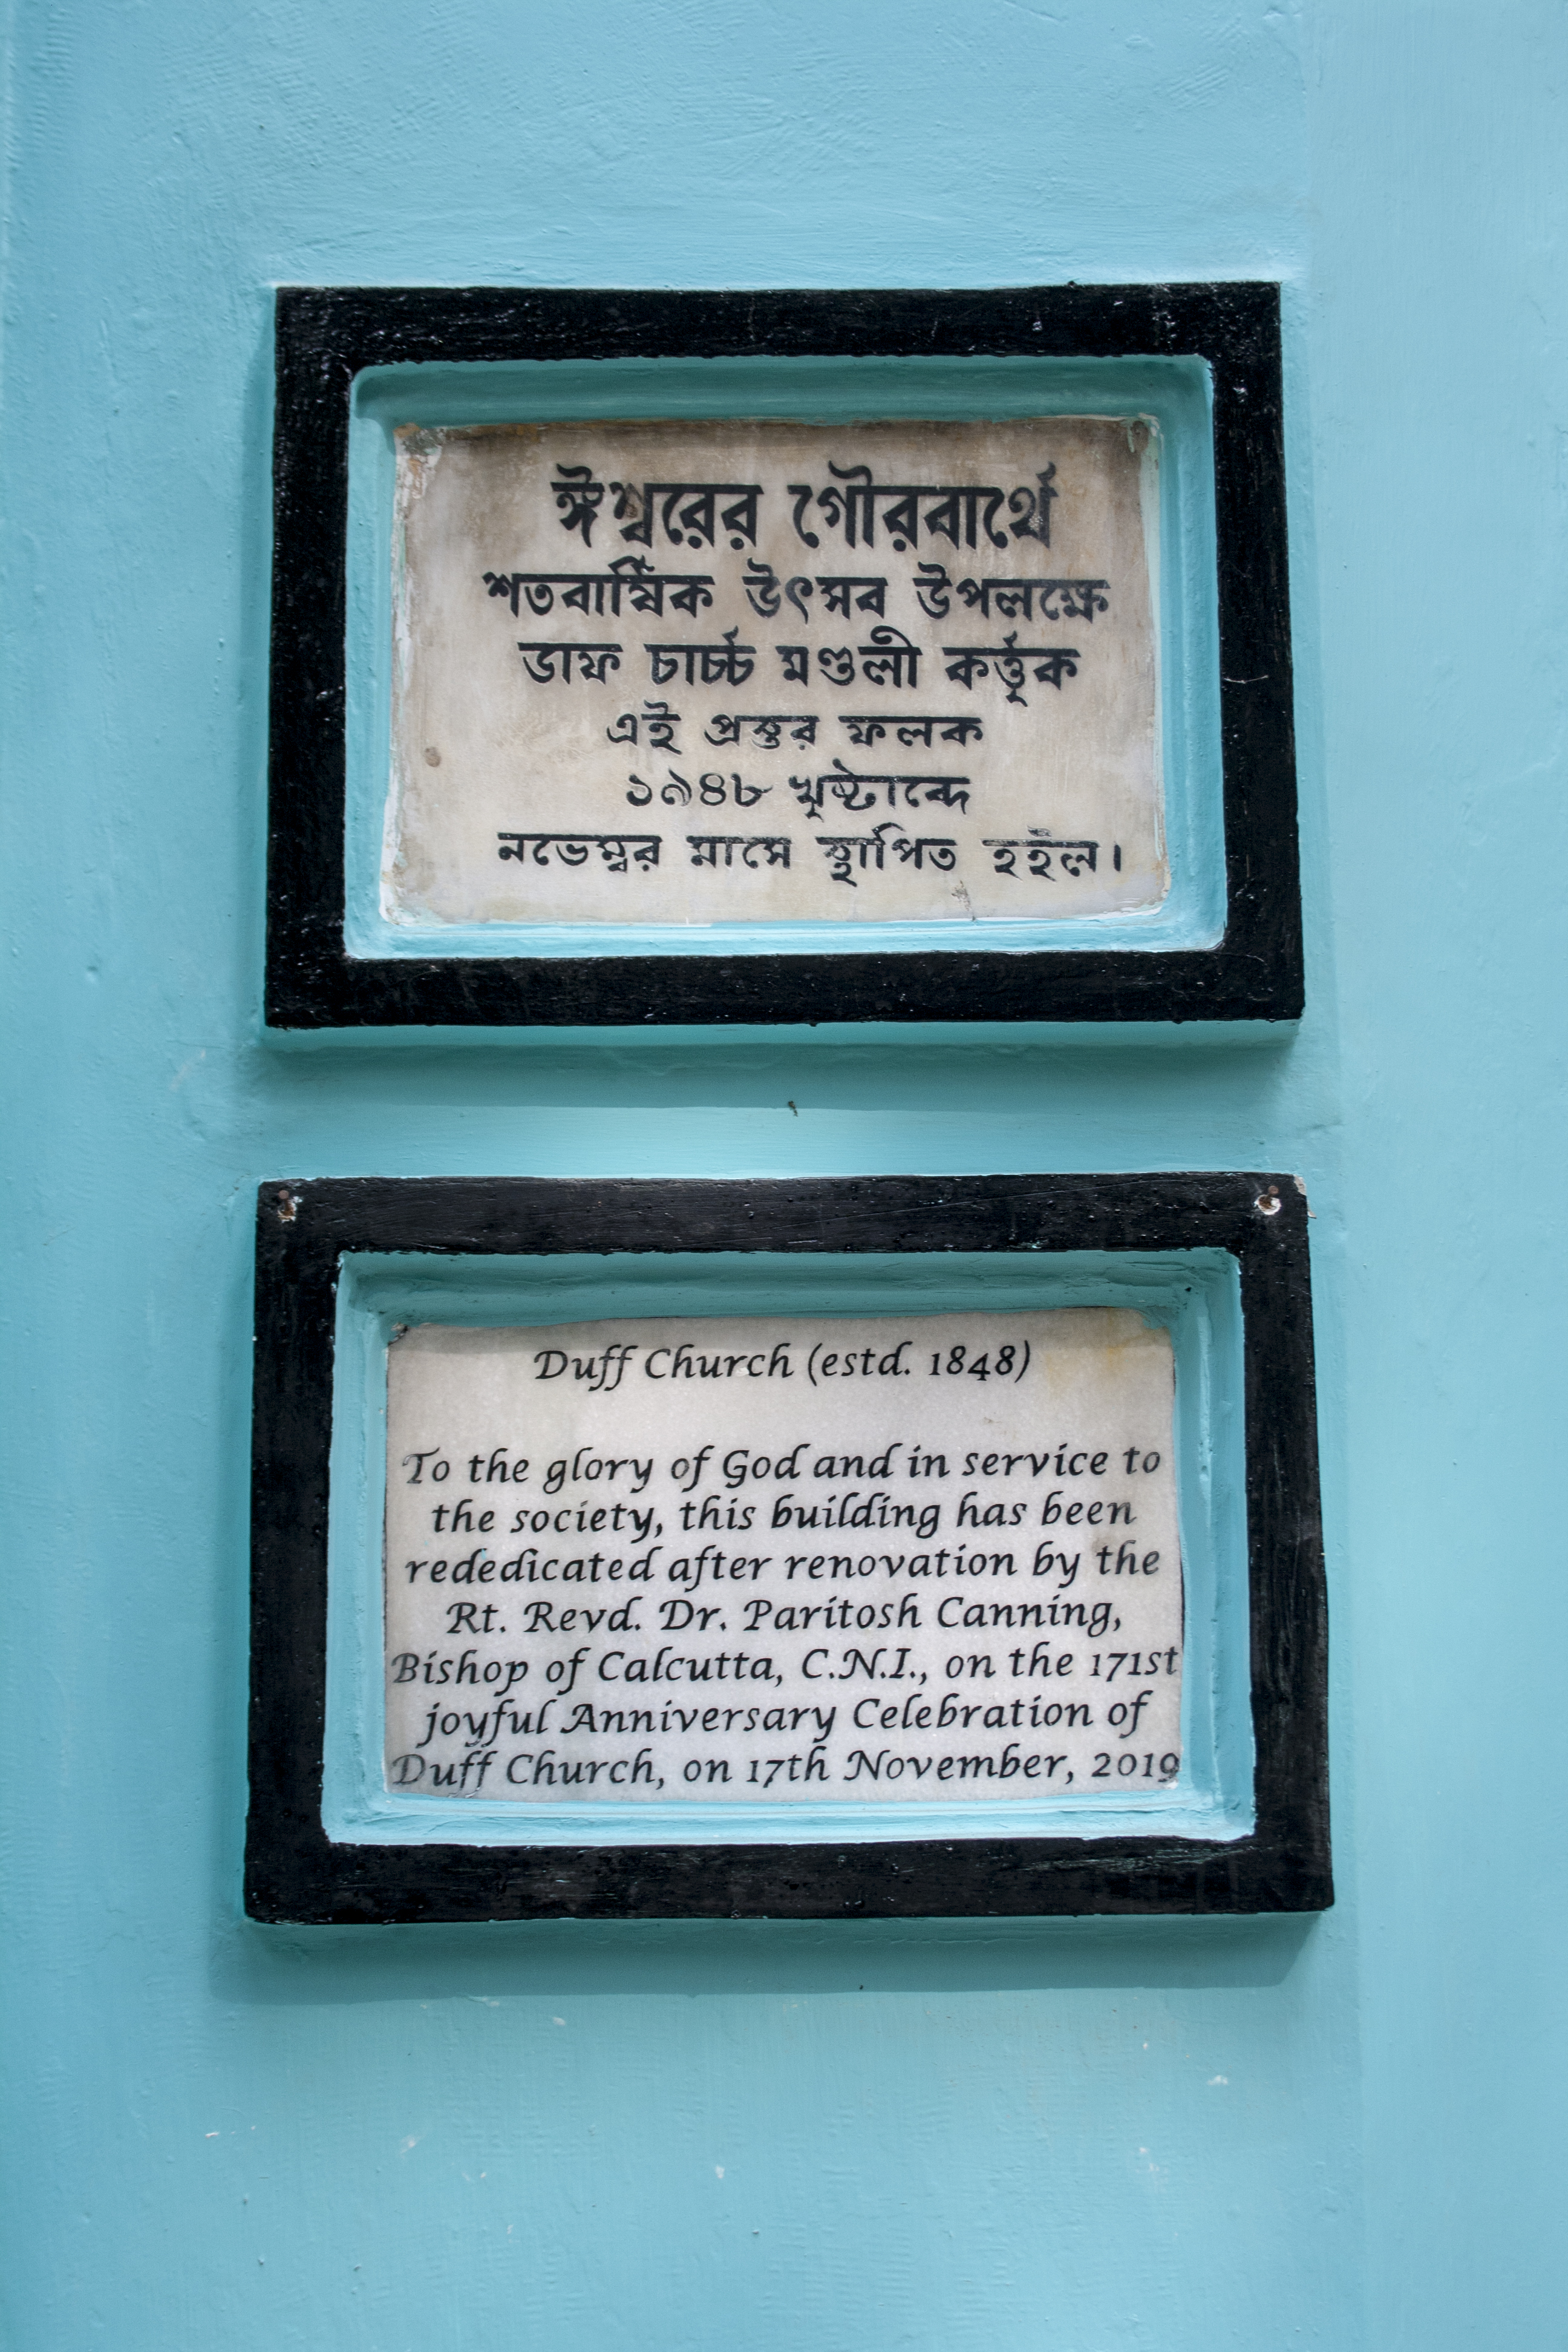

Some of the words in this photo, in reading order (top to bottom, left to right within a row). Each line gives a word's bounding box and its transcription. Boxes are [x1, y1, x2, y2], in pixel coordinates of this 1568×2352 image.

[535, 441, 775, 555] ঈশ্বরের
[775, 441, 1070, 555] গৌরবার্থে
[475, 544, 726, 625] শতবার্ষিক
[722, 545, 897, 626] উৎসব
[901, 553, 1119, 629] উপলক্ষে
[514, 633, 632, 695] ভাফ
[639, 615, 763, 695] চার্চ্চ
[771, 626, 933, 691] মণ্ডলী
[938, 629, 1087, 711] কর্ত্তৃক
[599, 690, 693, 758] এই
[694, 705, 825, 758] প্রস্তর
[834, 707, 991, 757] ফলক
[618, 762, 763, 815] ১ঌ৪৮
[780, 750, 987, 825] খৃষ্টাব্দে
[495, 825, 670, 881] নভেম্বর
[680, 827, 799, 881] মাসে
[814, 817, 961, 890] স্থাপিত
[975, 809, 1105, 892] হইল
[530, 1334, 641, 1398] Duff
[641, 1335, 800, 1384] Church
[805, 1338, 912, 1386] (estd.
[929, 1339, 1025, 1385] 1848
[394, 1443, 454, 1495] To
[458, 1443, 535, 1495] the
[541, 1445, 654, 1497] glory
[670, 1440, 720, 1499] of
[720, 1436, 808, 1493] God
[812, 1439, 897, 1485] and
[901, 1439, 950, 1485] in
[963, 1440, 1110, 1485] service
[1119, 1439, 1168, 1480] to
[417, 1493, 498, 1544] the
[503, 1491, 665, 1552] society,
[673, 1489, 760, 1541] this
[767, 1485, 944, 1544] building
[944, 1480, 1033, 1541] has
[1036, 1485, 1138, 1535] been
[406, 1541, 667, 1588] rededicated
[661, 1537, 773, 1596] after
[777, 1541, 1018, 1587] renovation
[1025, 1537, 1082, 1592] by
[1089, 1533, 1163, 1587] the
[437, 1596, 497, 1638] Rt
[521, 1590, 647, 1636] Revd.
[650, 1587, 728, 1640] Dr.
[735, 1586, 924, 1640] Paritosh
[931, 1587, 1122, 1644] Canning,
[390, 1639, 536, 1702] Bishop
[543, 1641, 595, 1702] of
[592, 1642, 777, 1693] Calcutta
[797, 1640, 923, 1690] C.N.I.
[938, 1640, 997, 1688] on
[999, 1632, 1078, 1688] the
[1080, 1638, 1180, 1688] 171st
[419, 1691, 562, 1751] joyful
[552, 1696, 837, 1746] Anniversary
[851, 1685, 1095, 1734] Celebration
[1103, 1685, 1159, 1749] of
[385, 1739, 505, 1803] Duff
[499, 1740, 661, 1791] Church
[678, 1749, 733, 1791] on
[742, 1741, 829, 1794] 17th
[844, 1736, 1075, 1786] November
[1089, 1739, 1187, 1789] 2019